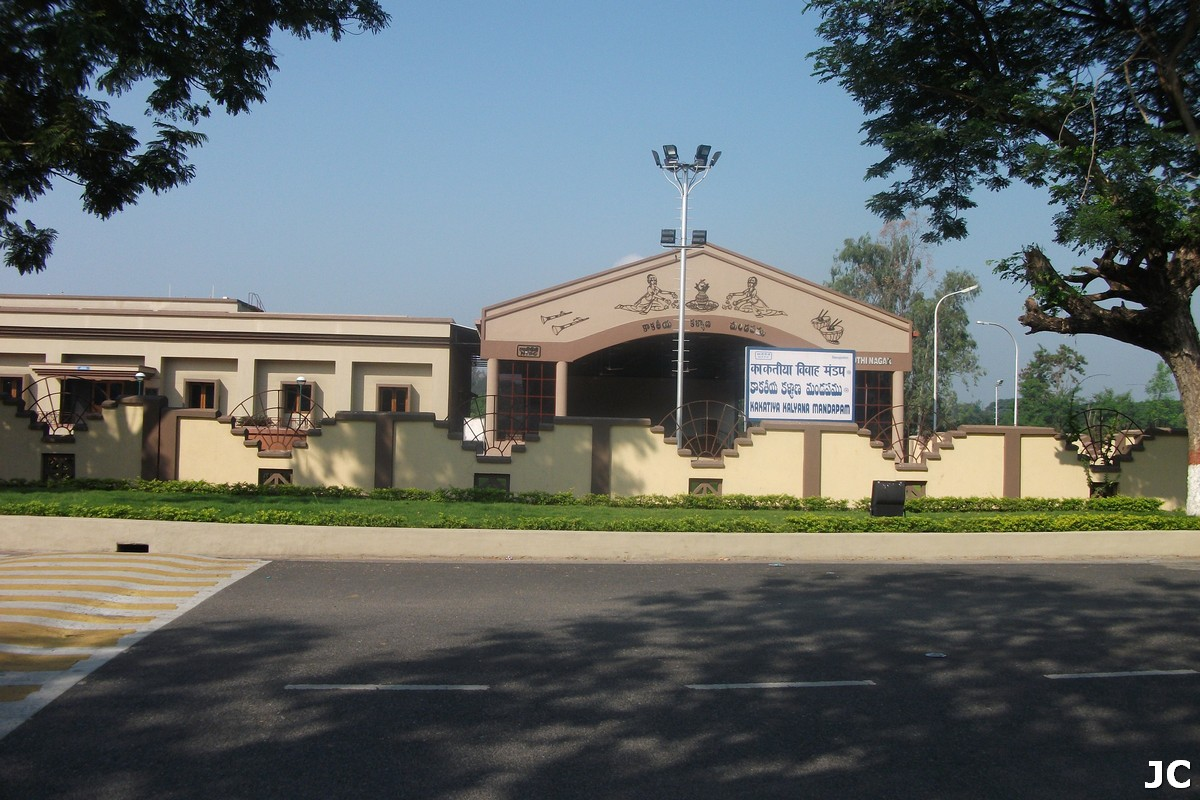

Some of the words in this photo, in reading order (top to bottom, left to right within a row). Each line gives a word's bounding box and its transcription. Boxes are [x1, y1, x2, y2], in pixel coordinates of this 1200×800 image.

[637, 315, 675, 338] కాకతీయ
[686, 313, 715, 332] కళ్యాణ
[724, 317, 770, 341] మండపము
[746, 355, 797, 379] काकतीया
[790, 355, 823, 381] विवाह
[820, 357, 850, 381] मंडप
[745, 370, 781, 398] కాకతియ
[772, 375, 807, 403] కళ్శణ
[799, 376, 846, 401] మందపము
[745, 398, 784, 417] KAKATIYA
[777, 398, 815, 419] HALYANA
[811, 397, 854, 416] MANDAPAM